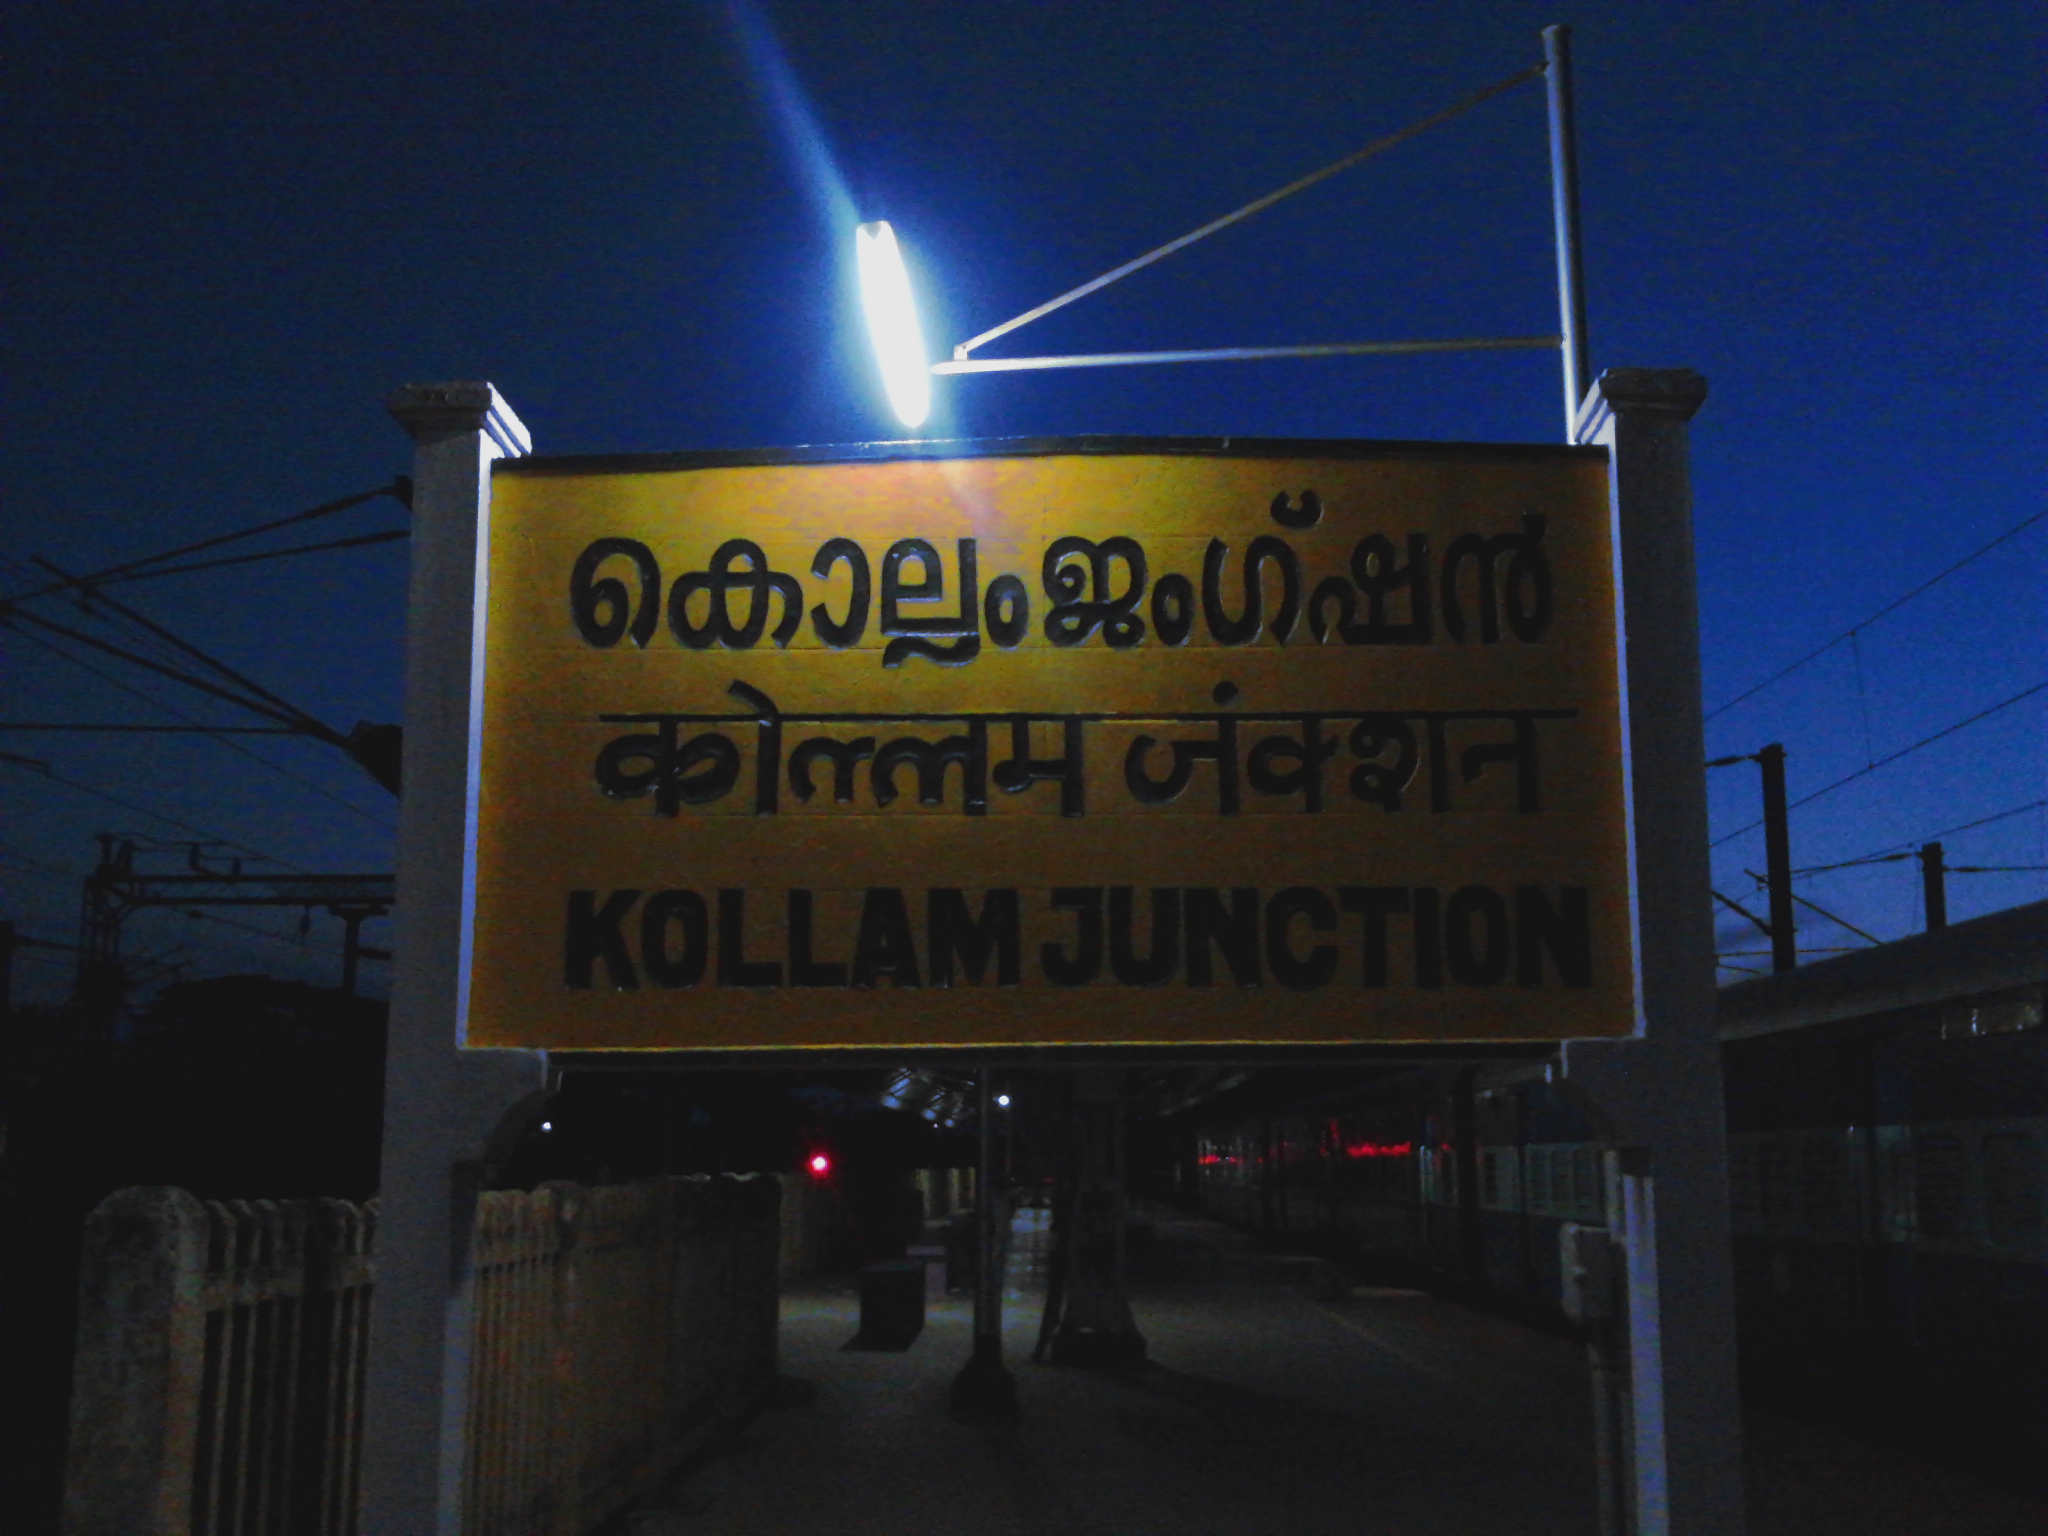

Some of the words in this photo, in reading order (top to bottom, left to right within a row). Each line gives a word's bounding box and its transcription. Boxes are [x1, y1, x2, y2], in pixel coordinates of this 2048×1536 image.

[567, 474, 1564, 680] കൊല്ലംജംഗ്ഷൻ
[579, 669, 1591, 824] कोल्लम जंक्शन
[552, 876, 1027, 998] KOLLAM
[1032, 876, 1599, 996] JUNCTION